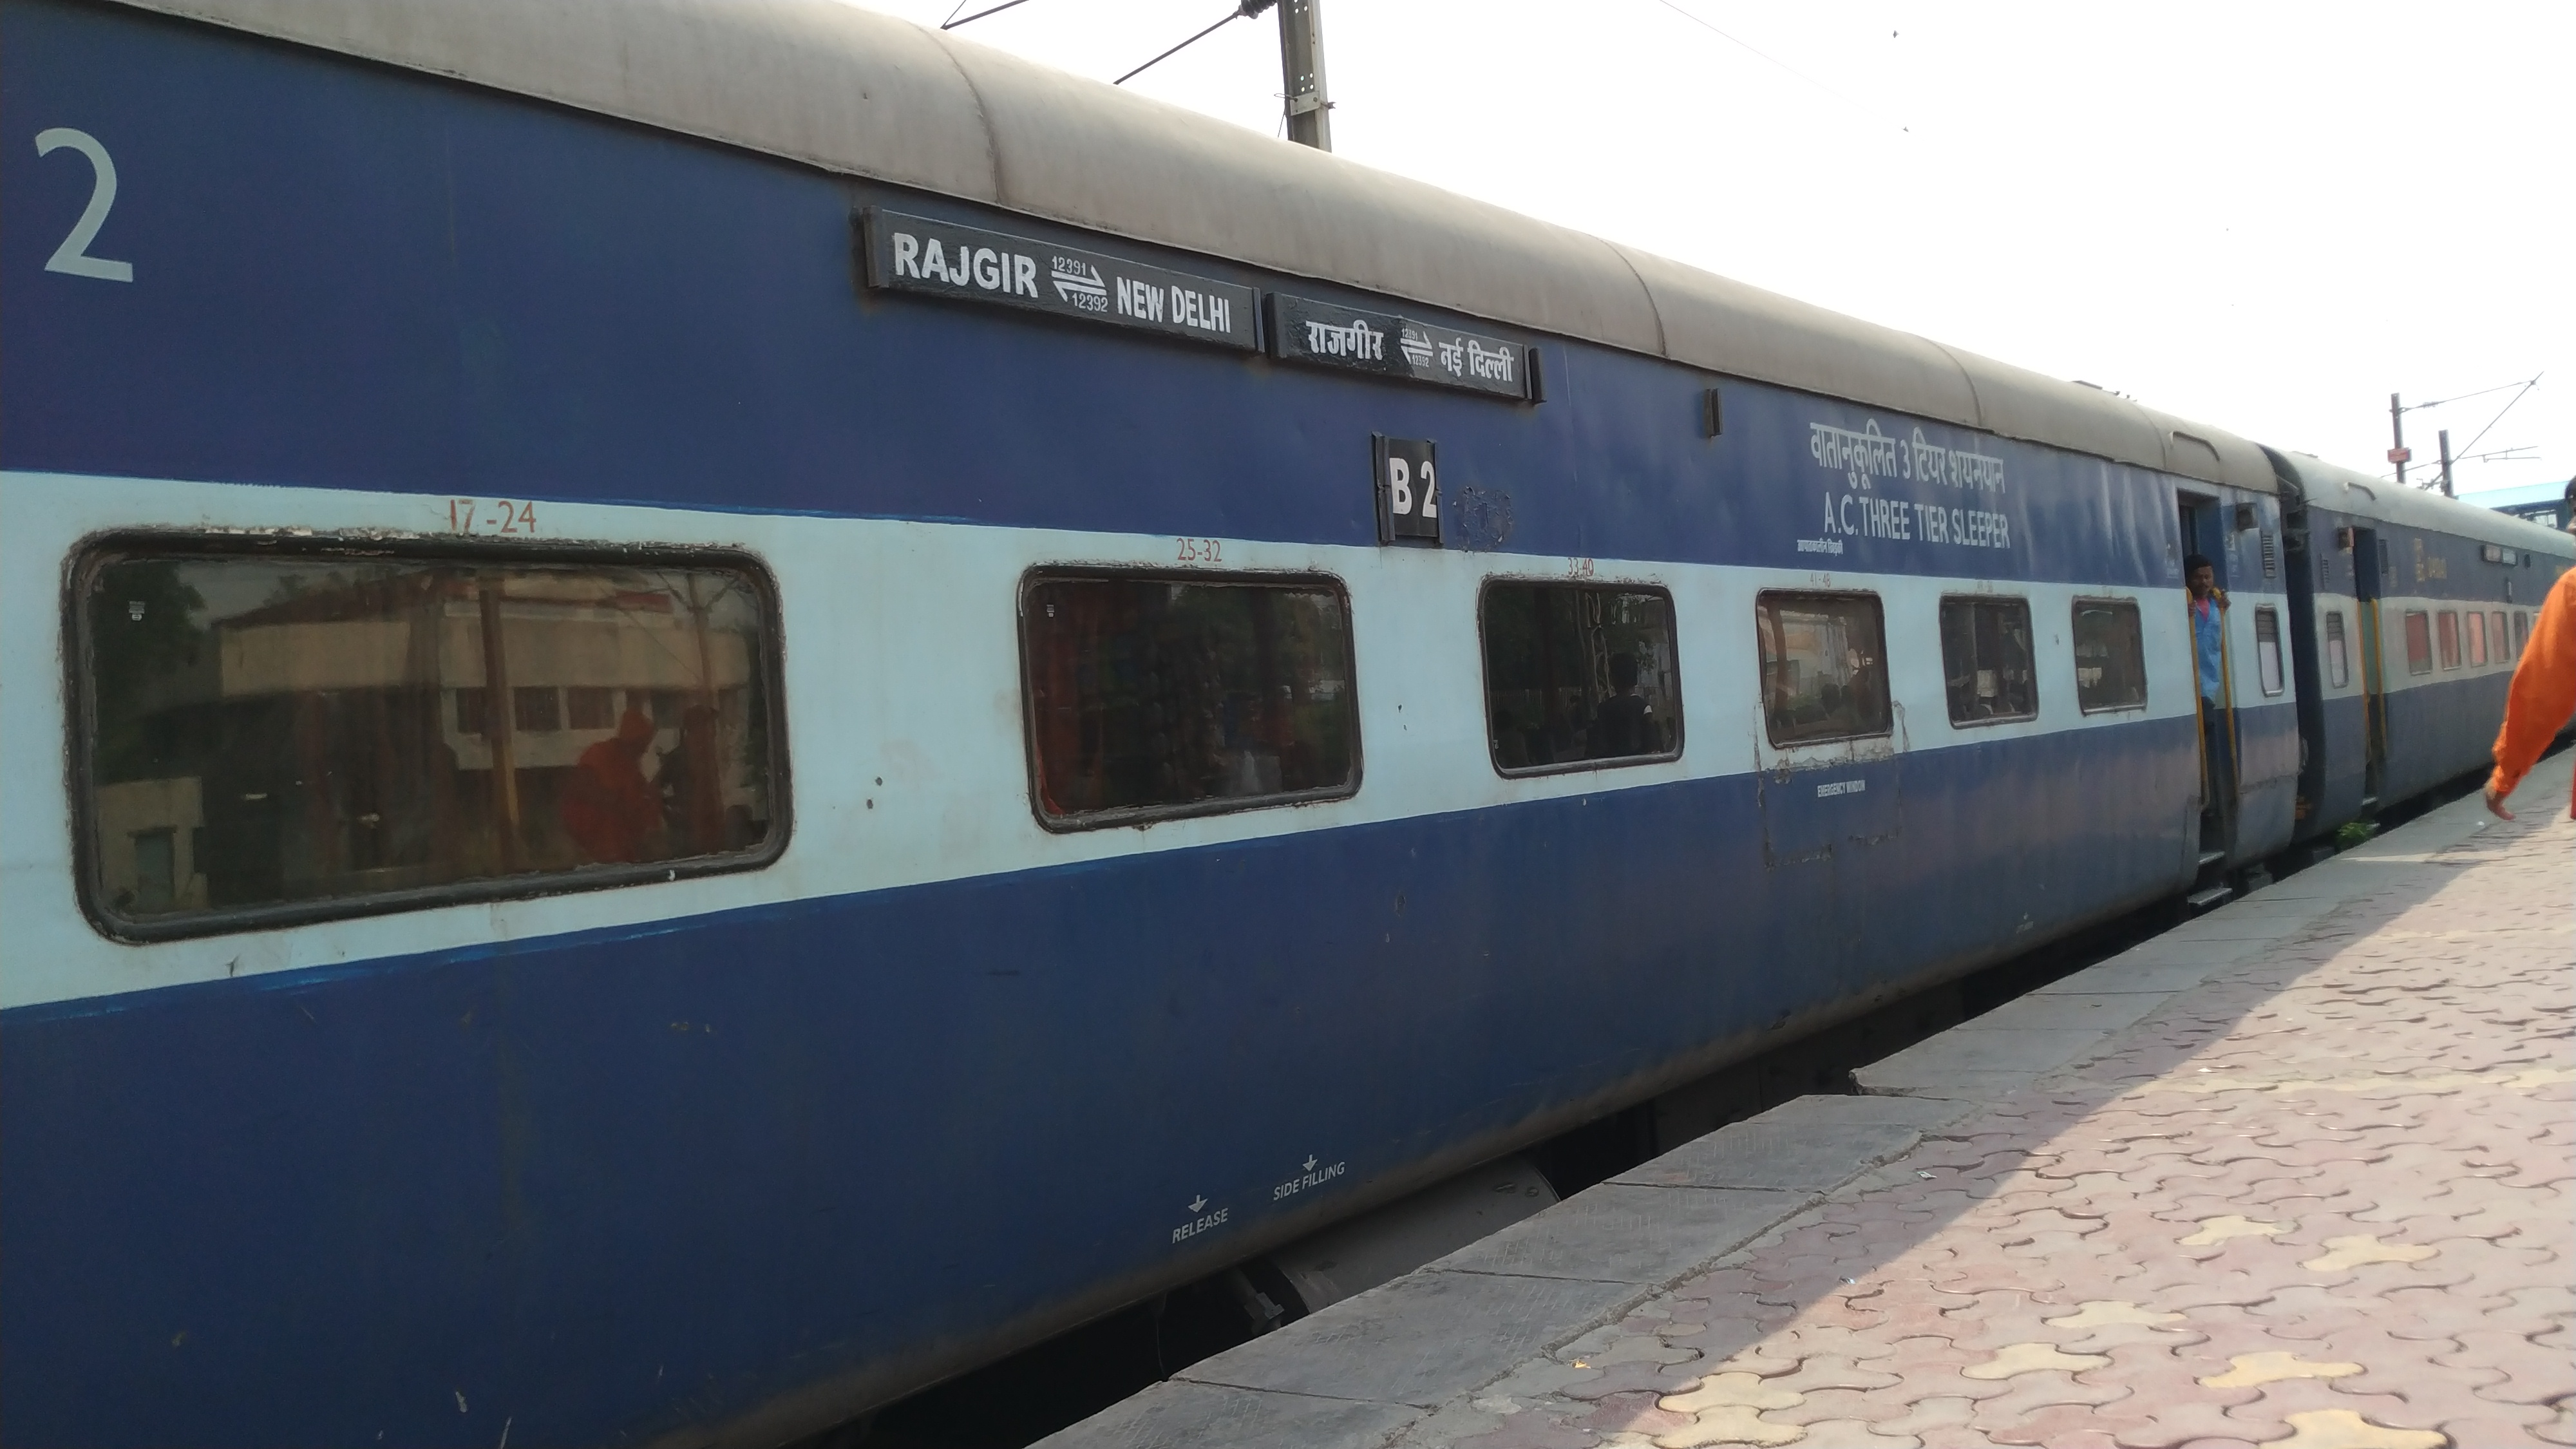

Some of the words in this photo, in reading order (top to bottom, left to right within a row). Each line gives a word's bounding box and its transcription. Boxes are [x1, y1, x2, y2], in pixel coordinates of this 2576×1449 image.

[4, 106, 147, 298] 2
[889, 227, 1041, 304] RAJGIR
[1045, 247, 1089, 283] 12391
[1115, 271, 1167, 328] NEW
[1166, 279, 1234, 337] DELHI
[1303, 312, 1388, 365] राजगीर
[1435, 332, 1466, 382] नई
[1460, 334, 1520, 386] दिल्ली
[1381, 453, 1441, 520] B2
[1804, 412, 1902, 494] वातानुकूलित
[1891, 435, 1913, 480] 3
[1901, 422, 1951, 486] टियर
[1940, 444, 2011, 495] शयनयान
[1792, 535, 1847, 558] आपातकालीन खिड़की
[1817, 487, 1862, 540] A.C.
[1856, 494, 1913, 544] THREE
[1906, 499, 1954, 549] TIER
[1946, 502, 2018, 554] SLEEPER
[1269, 1173, 1302, 1204] SIDE
[1294, 1159, 1349, 1193] FILLING
[1169, 1202, 1231, 1249] RELEASE